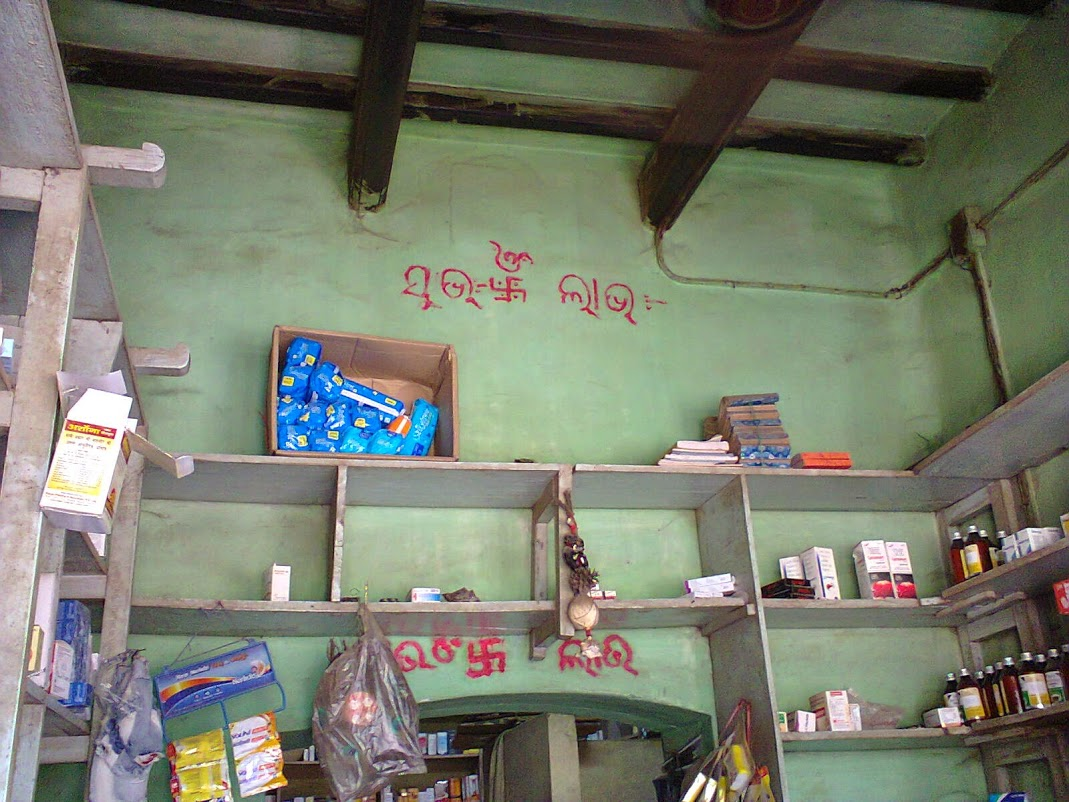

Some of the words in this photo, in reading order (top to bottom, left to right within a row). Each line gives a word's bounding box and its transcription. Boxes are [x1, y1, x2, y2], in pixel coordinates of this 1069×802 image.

[553, 265, 648, 330] ଲାଭ